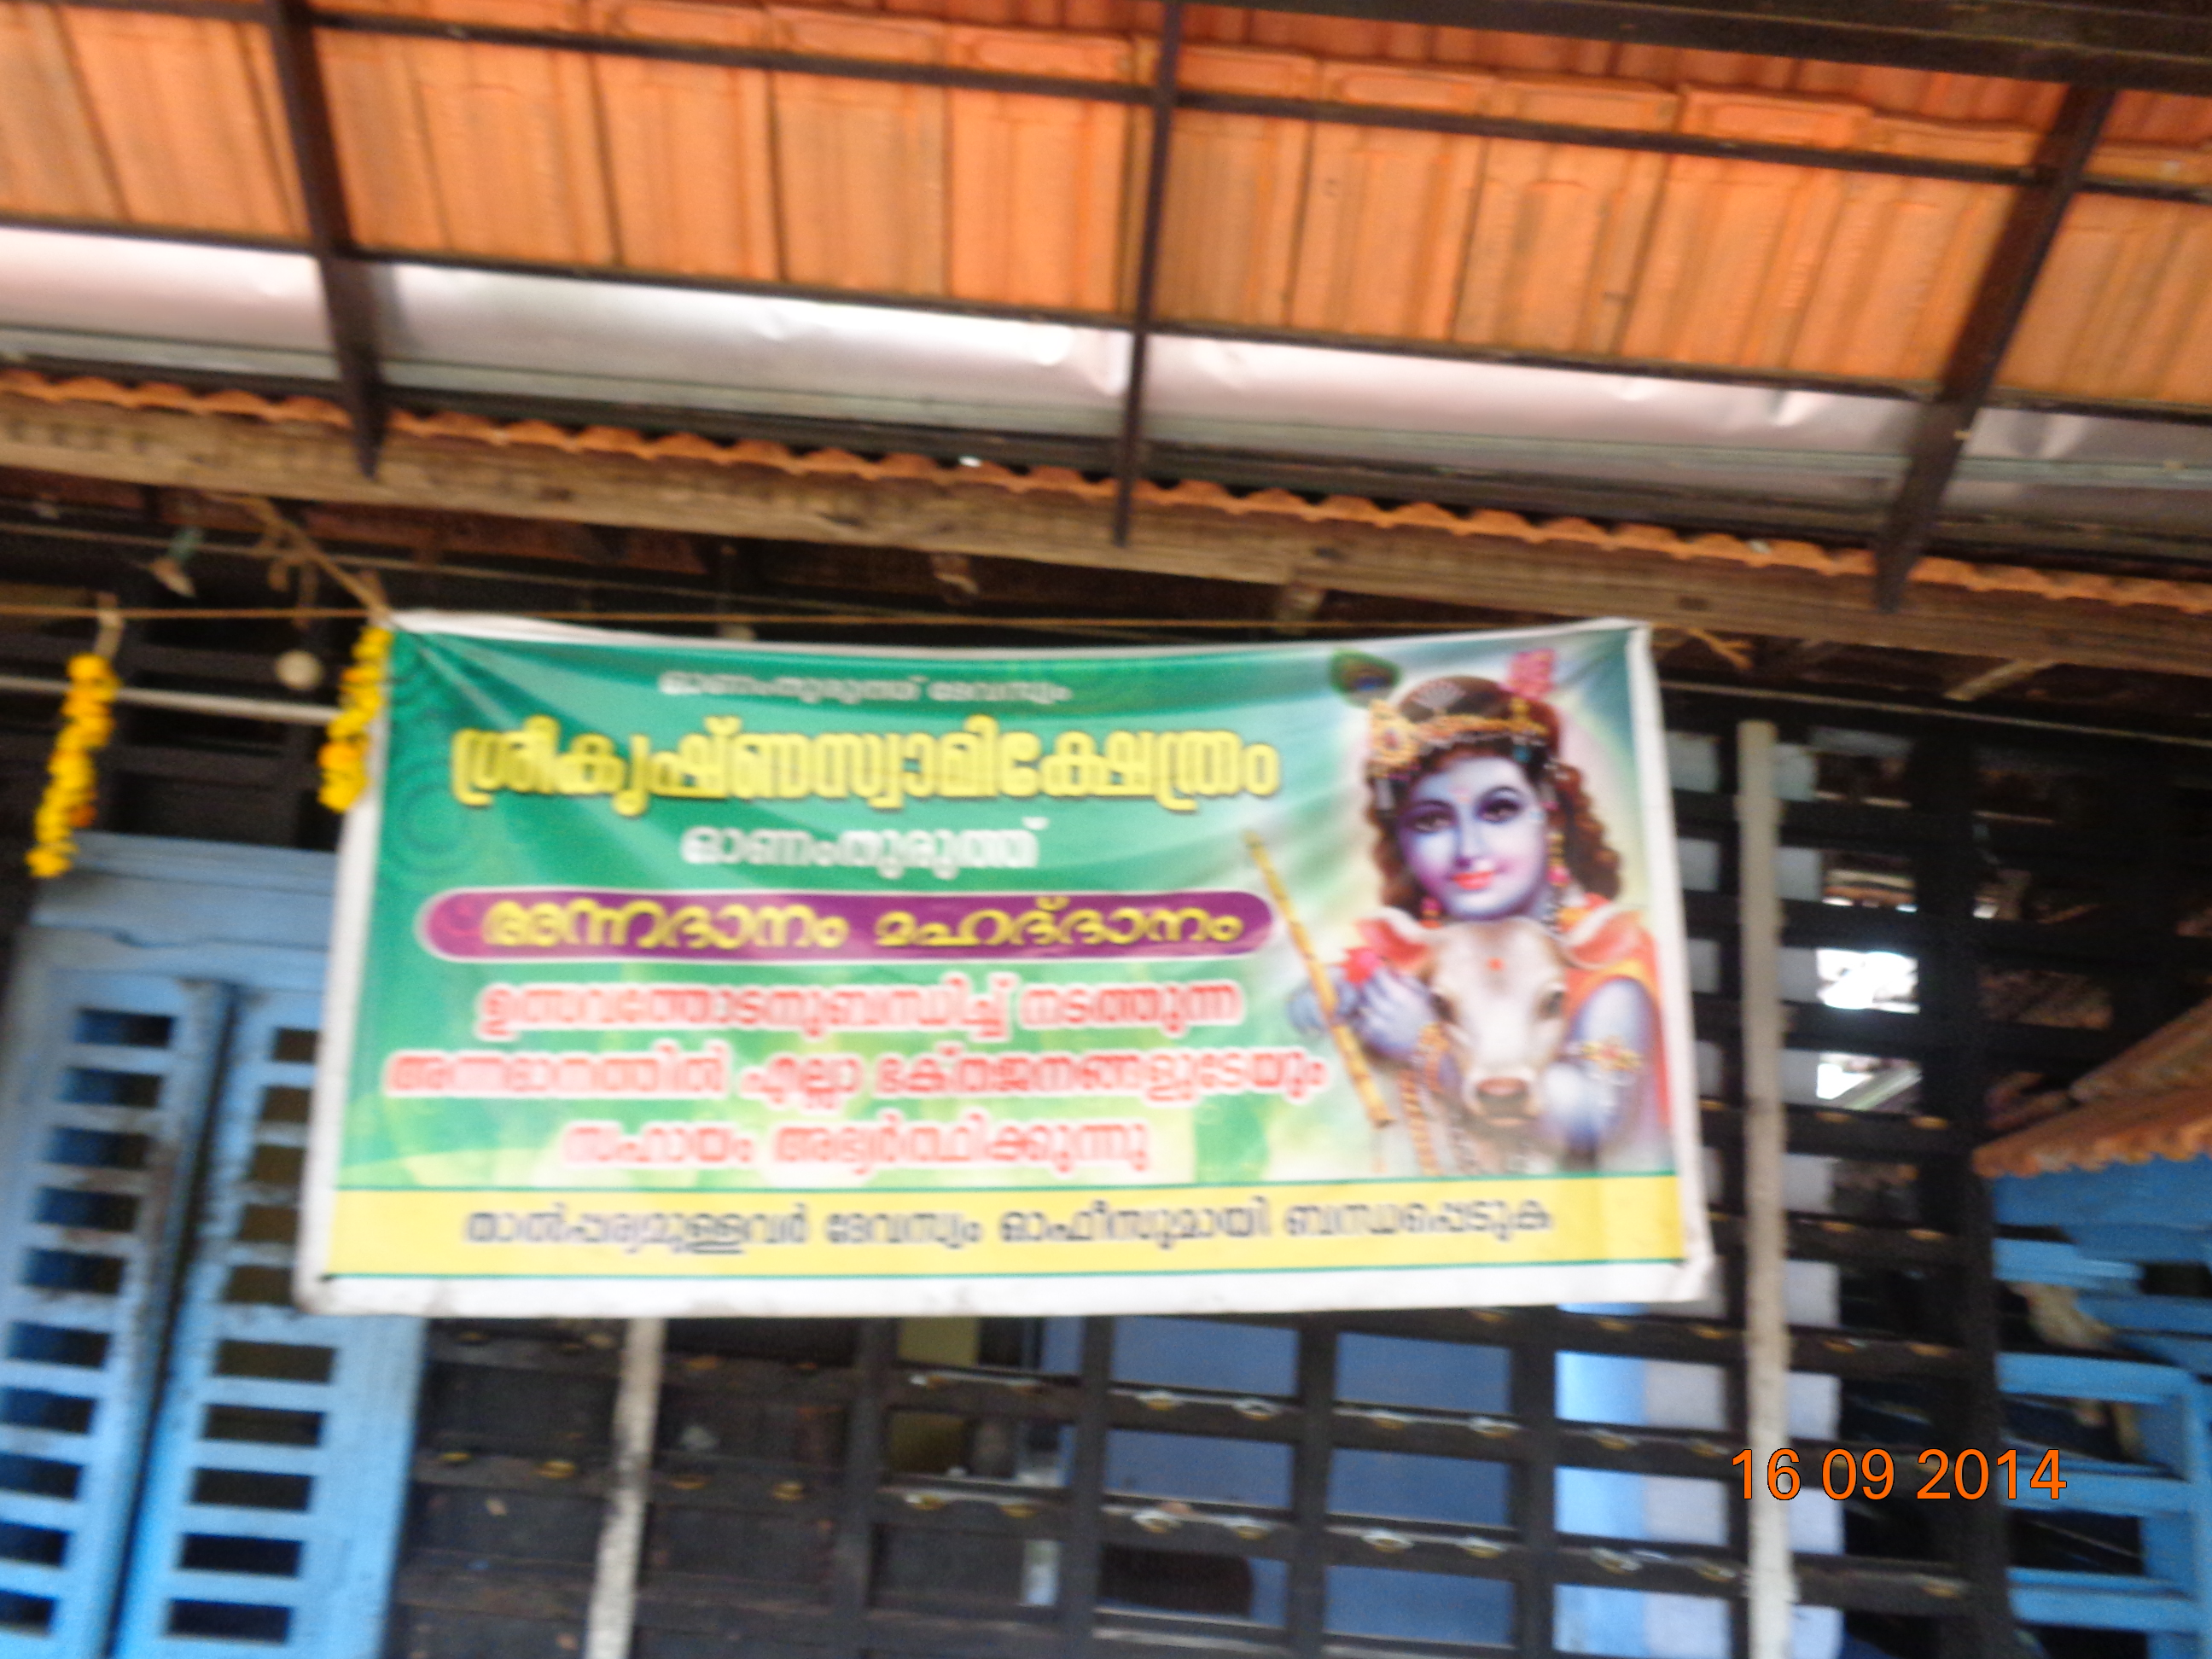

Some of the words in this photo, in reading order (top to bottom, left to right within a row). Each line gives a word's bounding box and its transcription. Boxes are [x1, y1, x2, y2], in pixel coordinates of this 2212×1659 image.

[649, 663, 926, 708] ഓണംതുരുത്ത്
[920, 666, 1076, 712] ദേവന്ധ്യം
[447, 696, 1290, 823] ശ്രീകൃഷ്‌ണസ്വാമിക്ഷേത്രം
[674, 806, 1051, 887] ഓണംതുരുത്ത്
[475, 891, 861, 957] അന്നദാനം
[872, 882, 1248, 957] മഹദ്‌ദാനം
[472, 961, 1023, 1046] ഉത്സവത്തോടനുബന്ധിച്ച്
[1008, 975, 1253, 1039] നട‌ത്തുന്ന
[374, 1029, 733, 1105] അന്നദാനത്തിൽ
[731, 1044, 867, 1115] എല്ലാ
[864, 1039, 1340, 1110] ഭക്‌തജനങ്ങളുടേയും
[555, 1110, 762, 1180] സഹായം
[765, 1107, 1160, 1179] അഭ്യർത്ഥിക്കുന്നു
[456, 1191, 812, 1263] താൽപ്പര്യമുള്ളവർ
[818, 1201, 990, 1260] ദേവസ്വം
[990, 1185, 1284, 1258] ഓഫീസുമായി
[1278, 1191, 1565, 1251] ബന്ധപ്പെടുക
[1731, 1437, 2064, 1509] 16092014